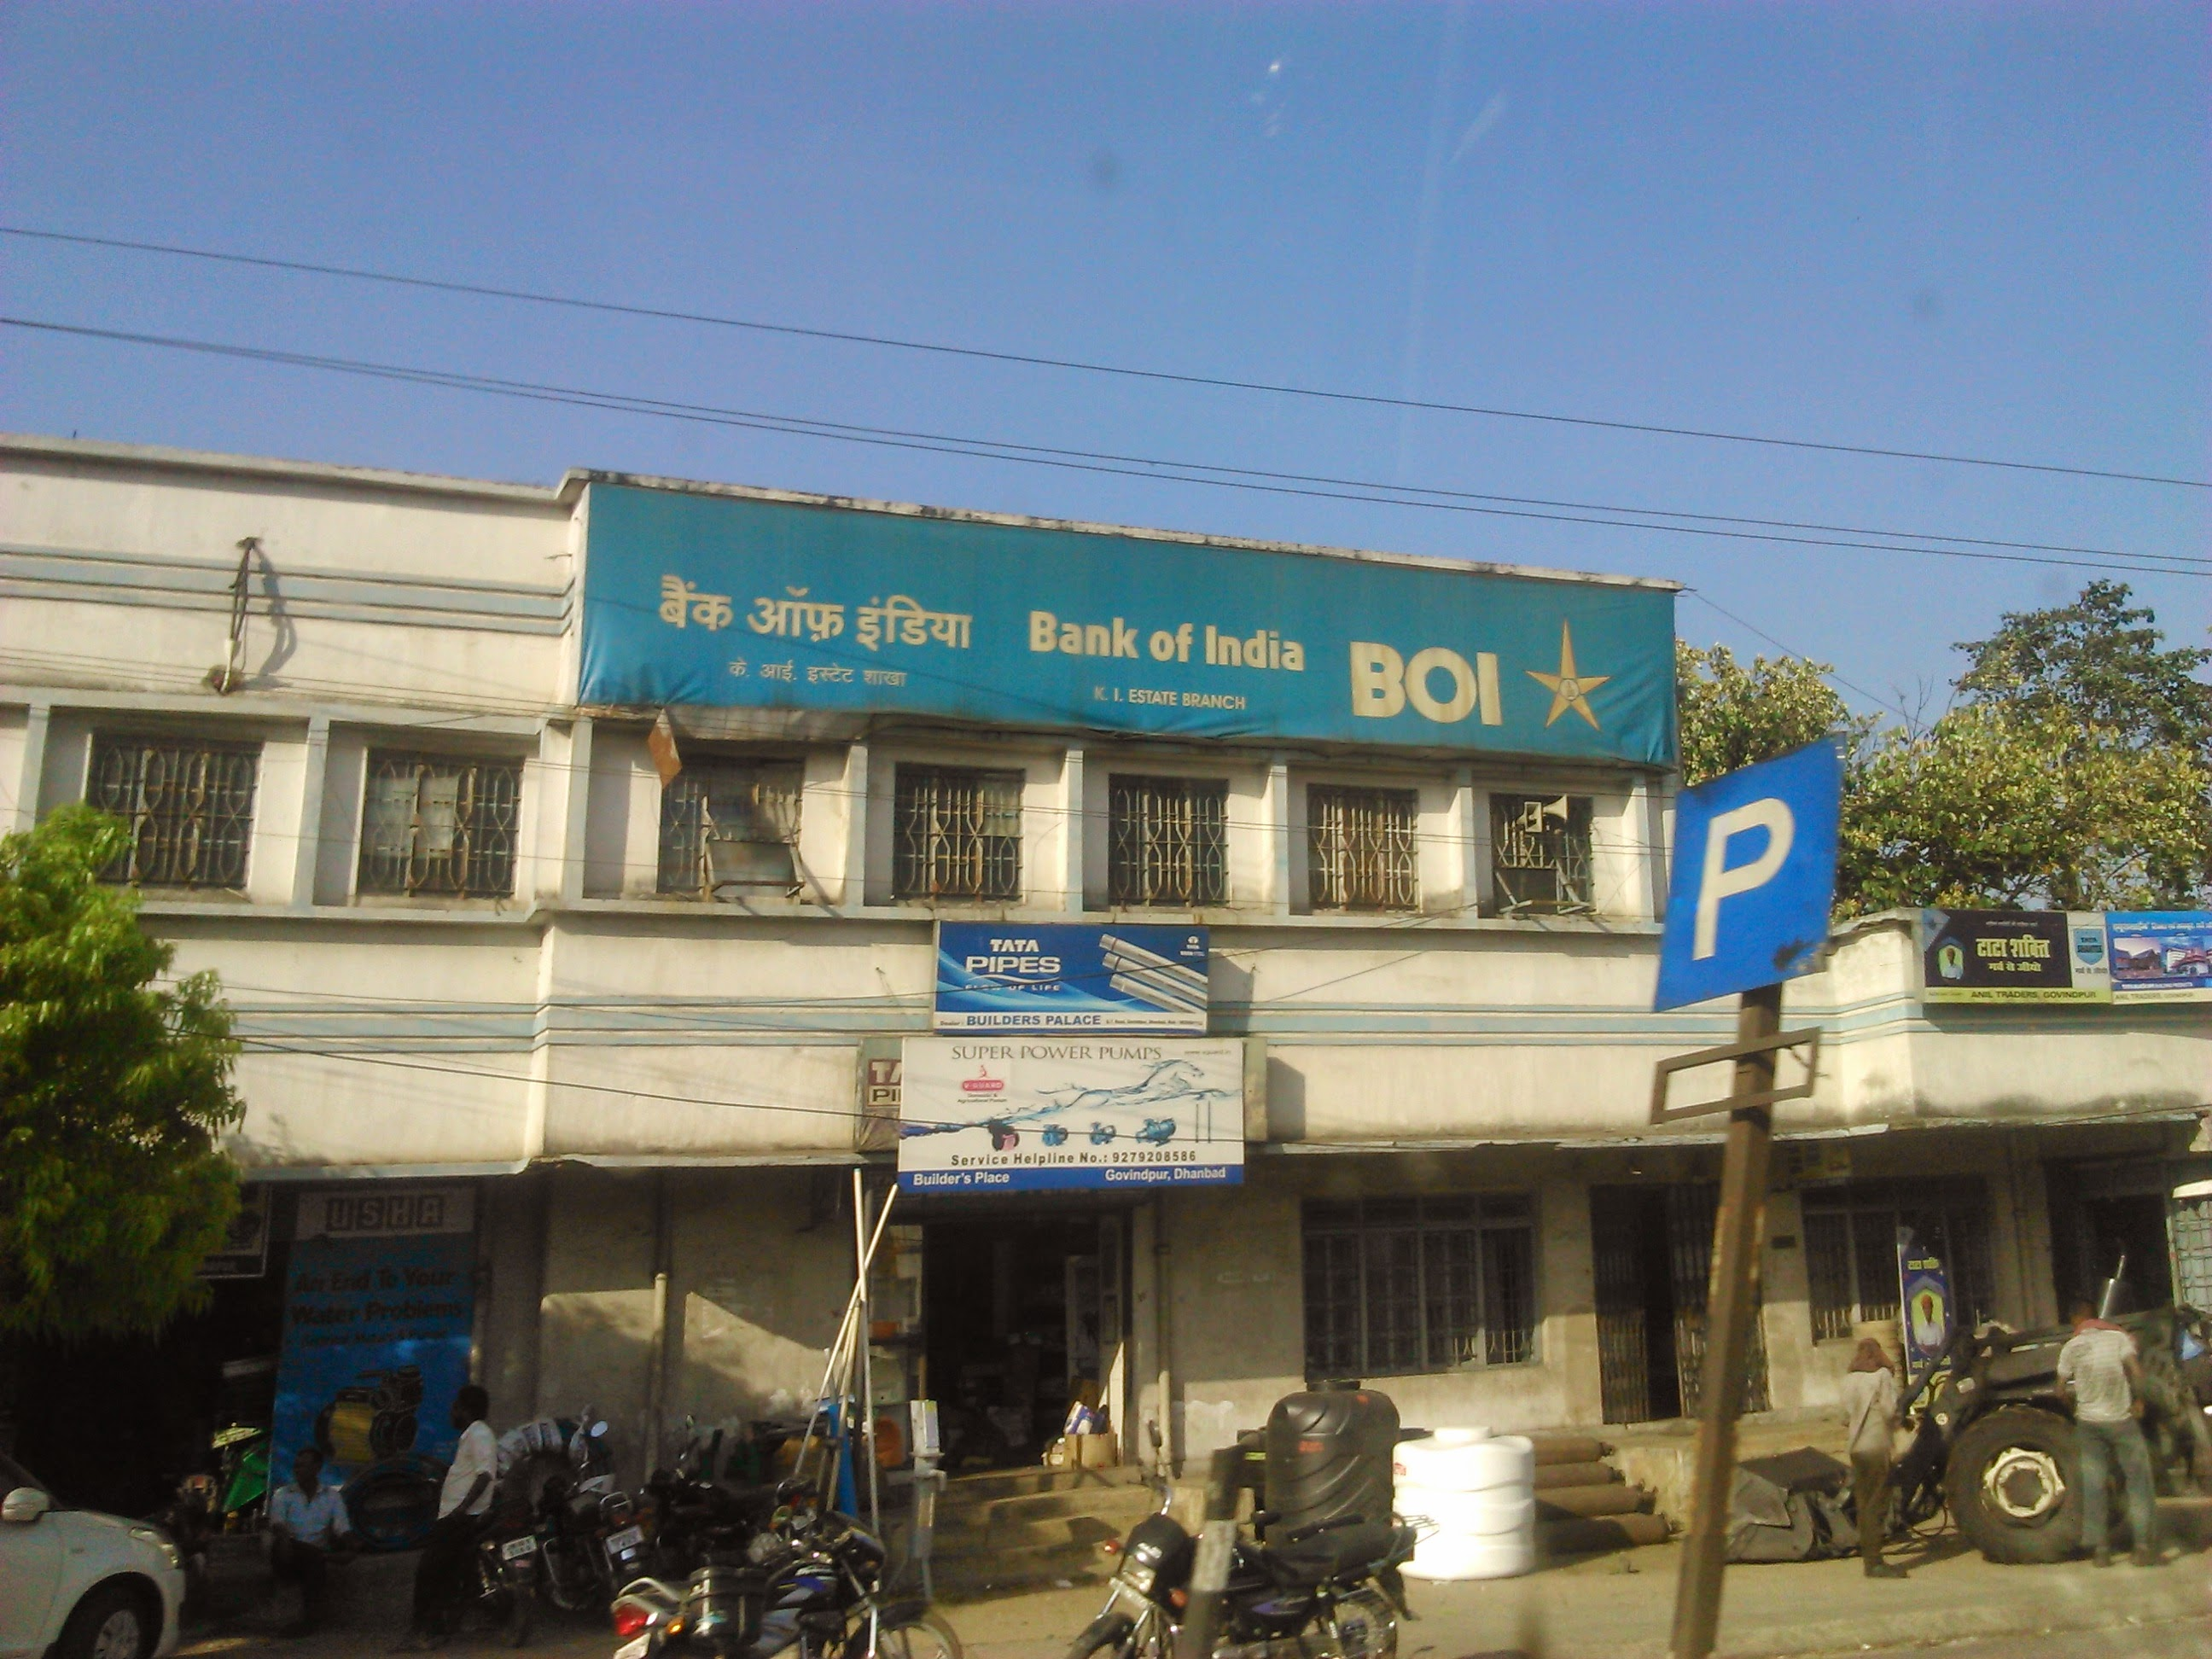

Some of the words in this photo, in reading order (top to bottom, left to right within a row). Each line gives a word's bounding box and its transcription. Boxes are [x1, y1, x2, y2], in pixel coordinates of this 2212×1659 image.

[653, 567, 736, 634] बैंक
[744, 582, 849, 647] ऑफ़
[852, 588, 976, 657] इंडिया
[1027, 606, 1140, 662] Bank
[1147, 619, 1198, 666] of
[1204, 621, 1307, 674] India
[723, 651, 752, 682] के
[755, 654, 800, 686] आई.
[804, 661, 858, 686] इस्टेट
[861, 664, 909, 690] शाखा
[1090, 682, 1126, 706] K.I.
[1121, 685, 1181, 709] ESTATE
[1179, 686, 1248, 714] BRANCH
[1349, 637, 1505, 728] BOI
[1679, 783, 1802, 958] P
[987, 934, 1041, 957] TATA
[1973, 936, 2011, 961] टाटा
[2008, 927, 2052, 962] शक्‍ति
[965, 952, 1063, 979] PIPES
[964, 1010, 1041, 1031] BUILDERS
[1043, 1010, 1106, 1029] PALACE
[950, 1041, 1016, 1063] SUPER
[1019, 1043, 1094, 1062] POWER
[1097, 1042, 1164, 1063] PUMPS
[910, 1167, 975, 1190] Builder
[948, 1151, 1010, 1170] Service
[970, 1167, 1011, 1187] Place
[1010, 1149, 1080, 1172] Helpline
[1102, 1162, 1173, 1188] Govindpur,
[1076, 1147, 1200, 1166] No.:9279208586
[1171, 1162, 1229, 1183] Dhanbad
[325, 1192, 445, 1237] USHA